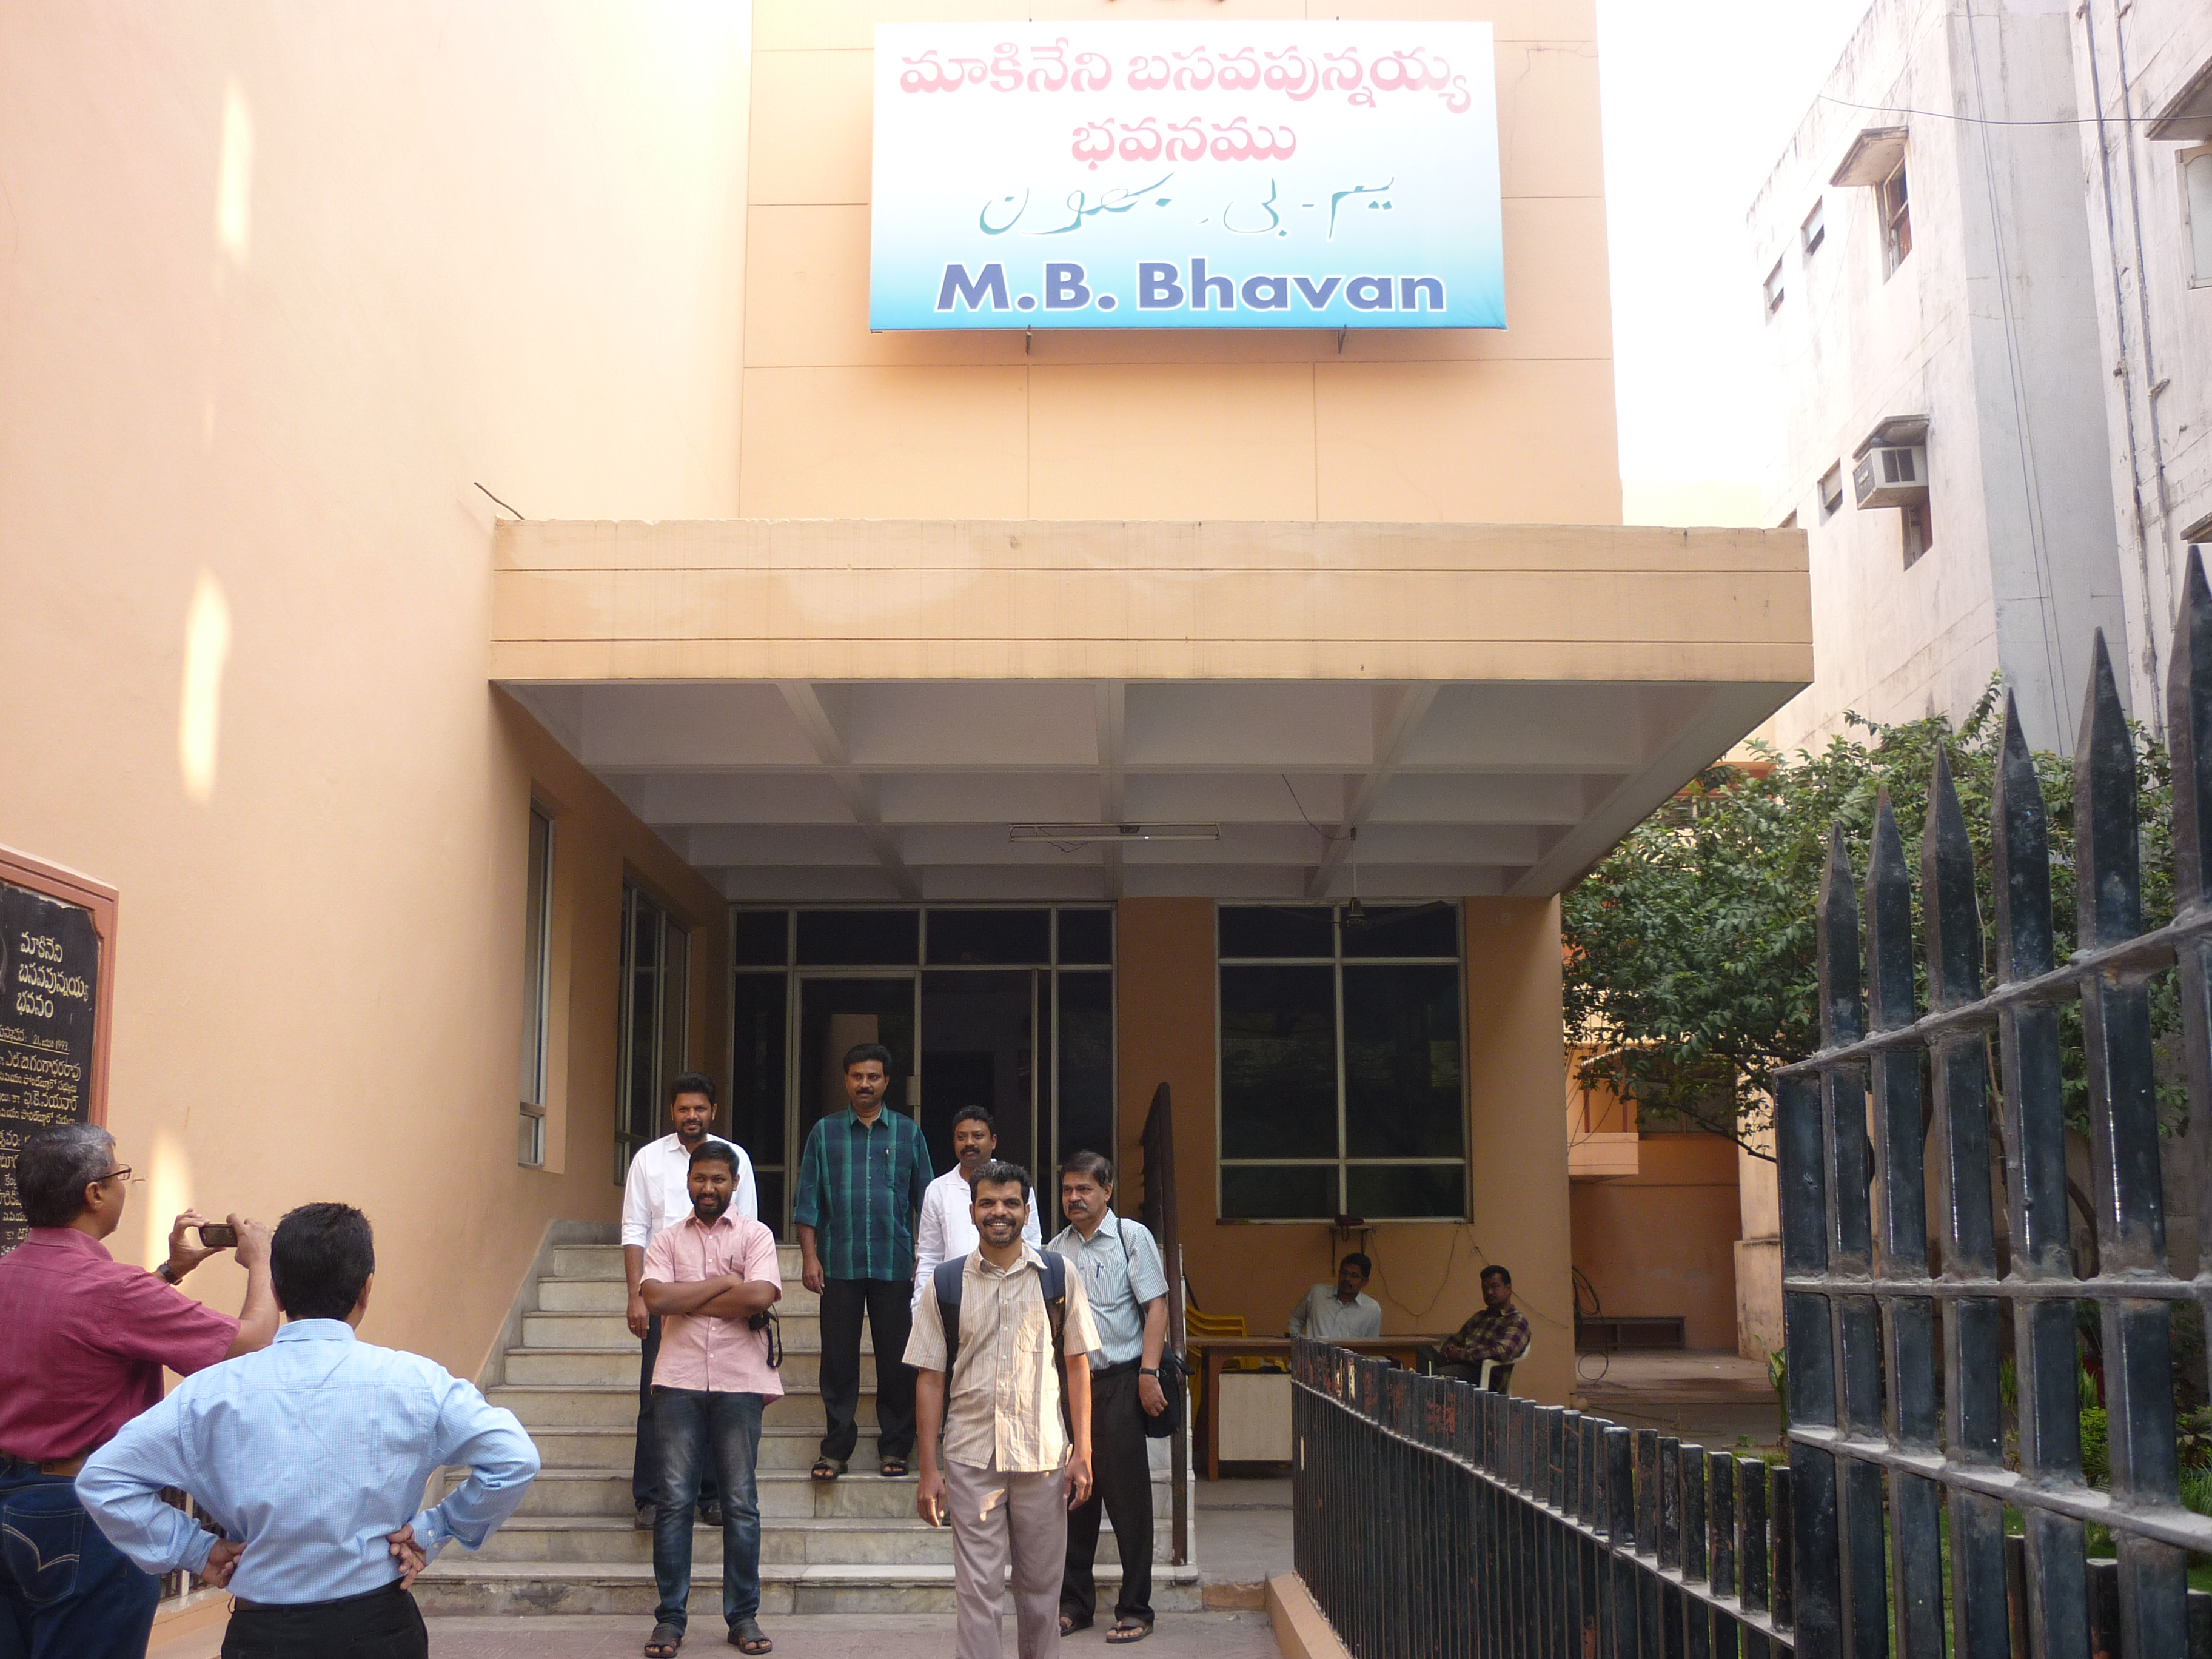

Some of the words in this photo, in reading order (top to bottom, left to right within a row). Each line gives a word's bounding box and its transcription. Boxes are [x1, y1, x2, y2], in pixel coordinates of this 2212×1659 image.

[890, 32, 1117, 99] మాకినేని
[1111, 36, 1478, 118] బసవపున్నయ్య
[1071, 107, 1304, 173] భవనము
[937, 256, 1125, 316] M.B.
[1130, 253, 1446, 319] Bhavan
[16, 927, 67, 967] మాకినేని
[16, 985, 57, 1019] భవనం
[12, 957, 93, 1005] బసవవున్నయ్య
[2, 1047, 85, 1084] ఎల్.బి.గంగాధరరావు
[19, 1086, 82, 1115] ఇ.కె.నయనార్